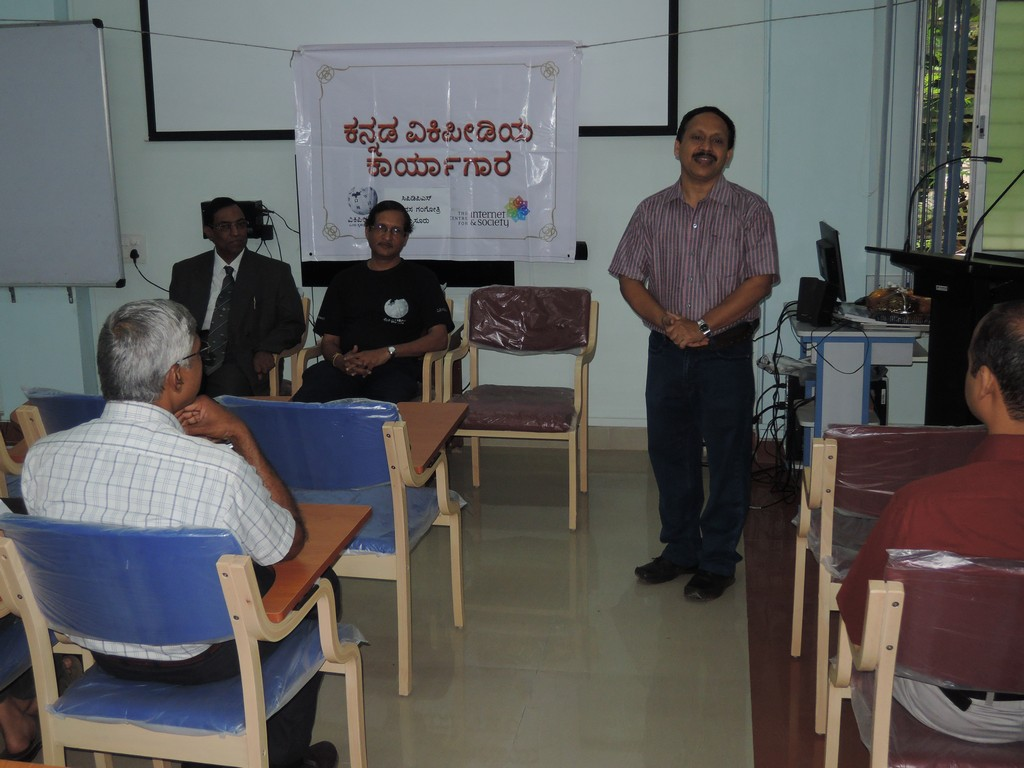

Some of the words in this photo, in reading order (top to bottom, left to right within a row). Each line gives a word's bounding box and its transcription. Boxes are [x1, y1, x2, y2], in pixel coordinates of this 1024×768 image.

[340, 110, 406, 162] ಕನ್ನಡ
[401, 109, 537, 146] ವಿಕಿಪೀಡಿಯ
[362, 146, 518, 182] ಕಾರ್ಯಾಗಾರ
[411, 202, 445, 218] ಗಂಗೋತ್ರಿ
[466, 207, 508, 223] internet
[466, 215, 513, 230] &SOCIETY